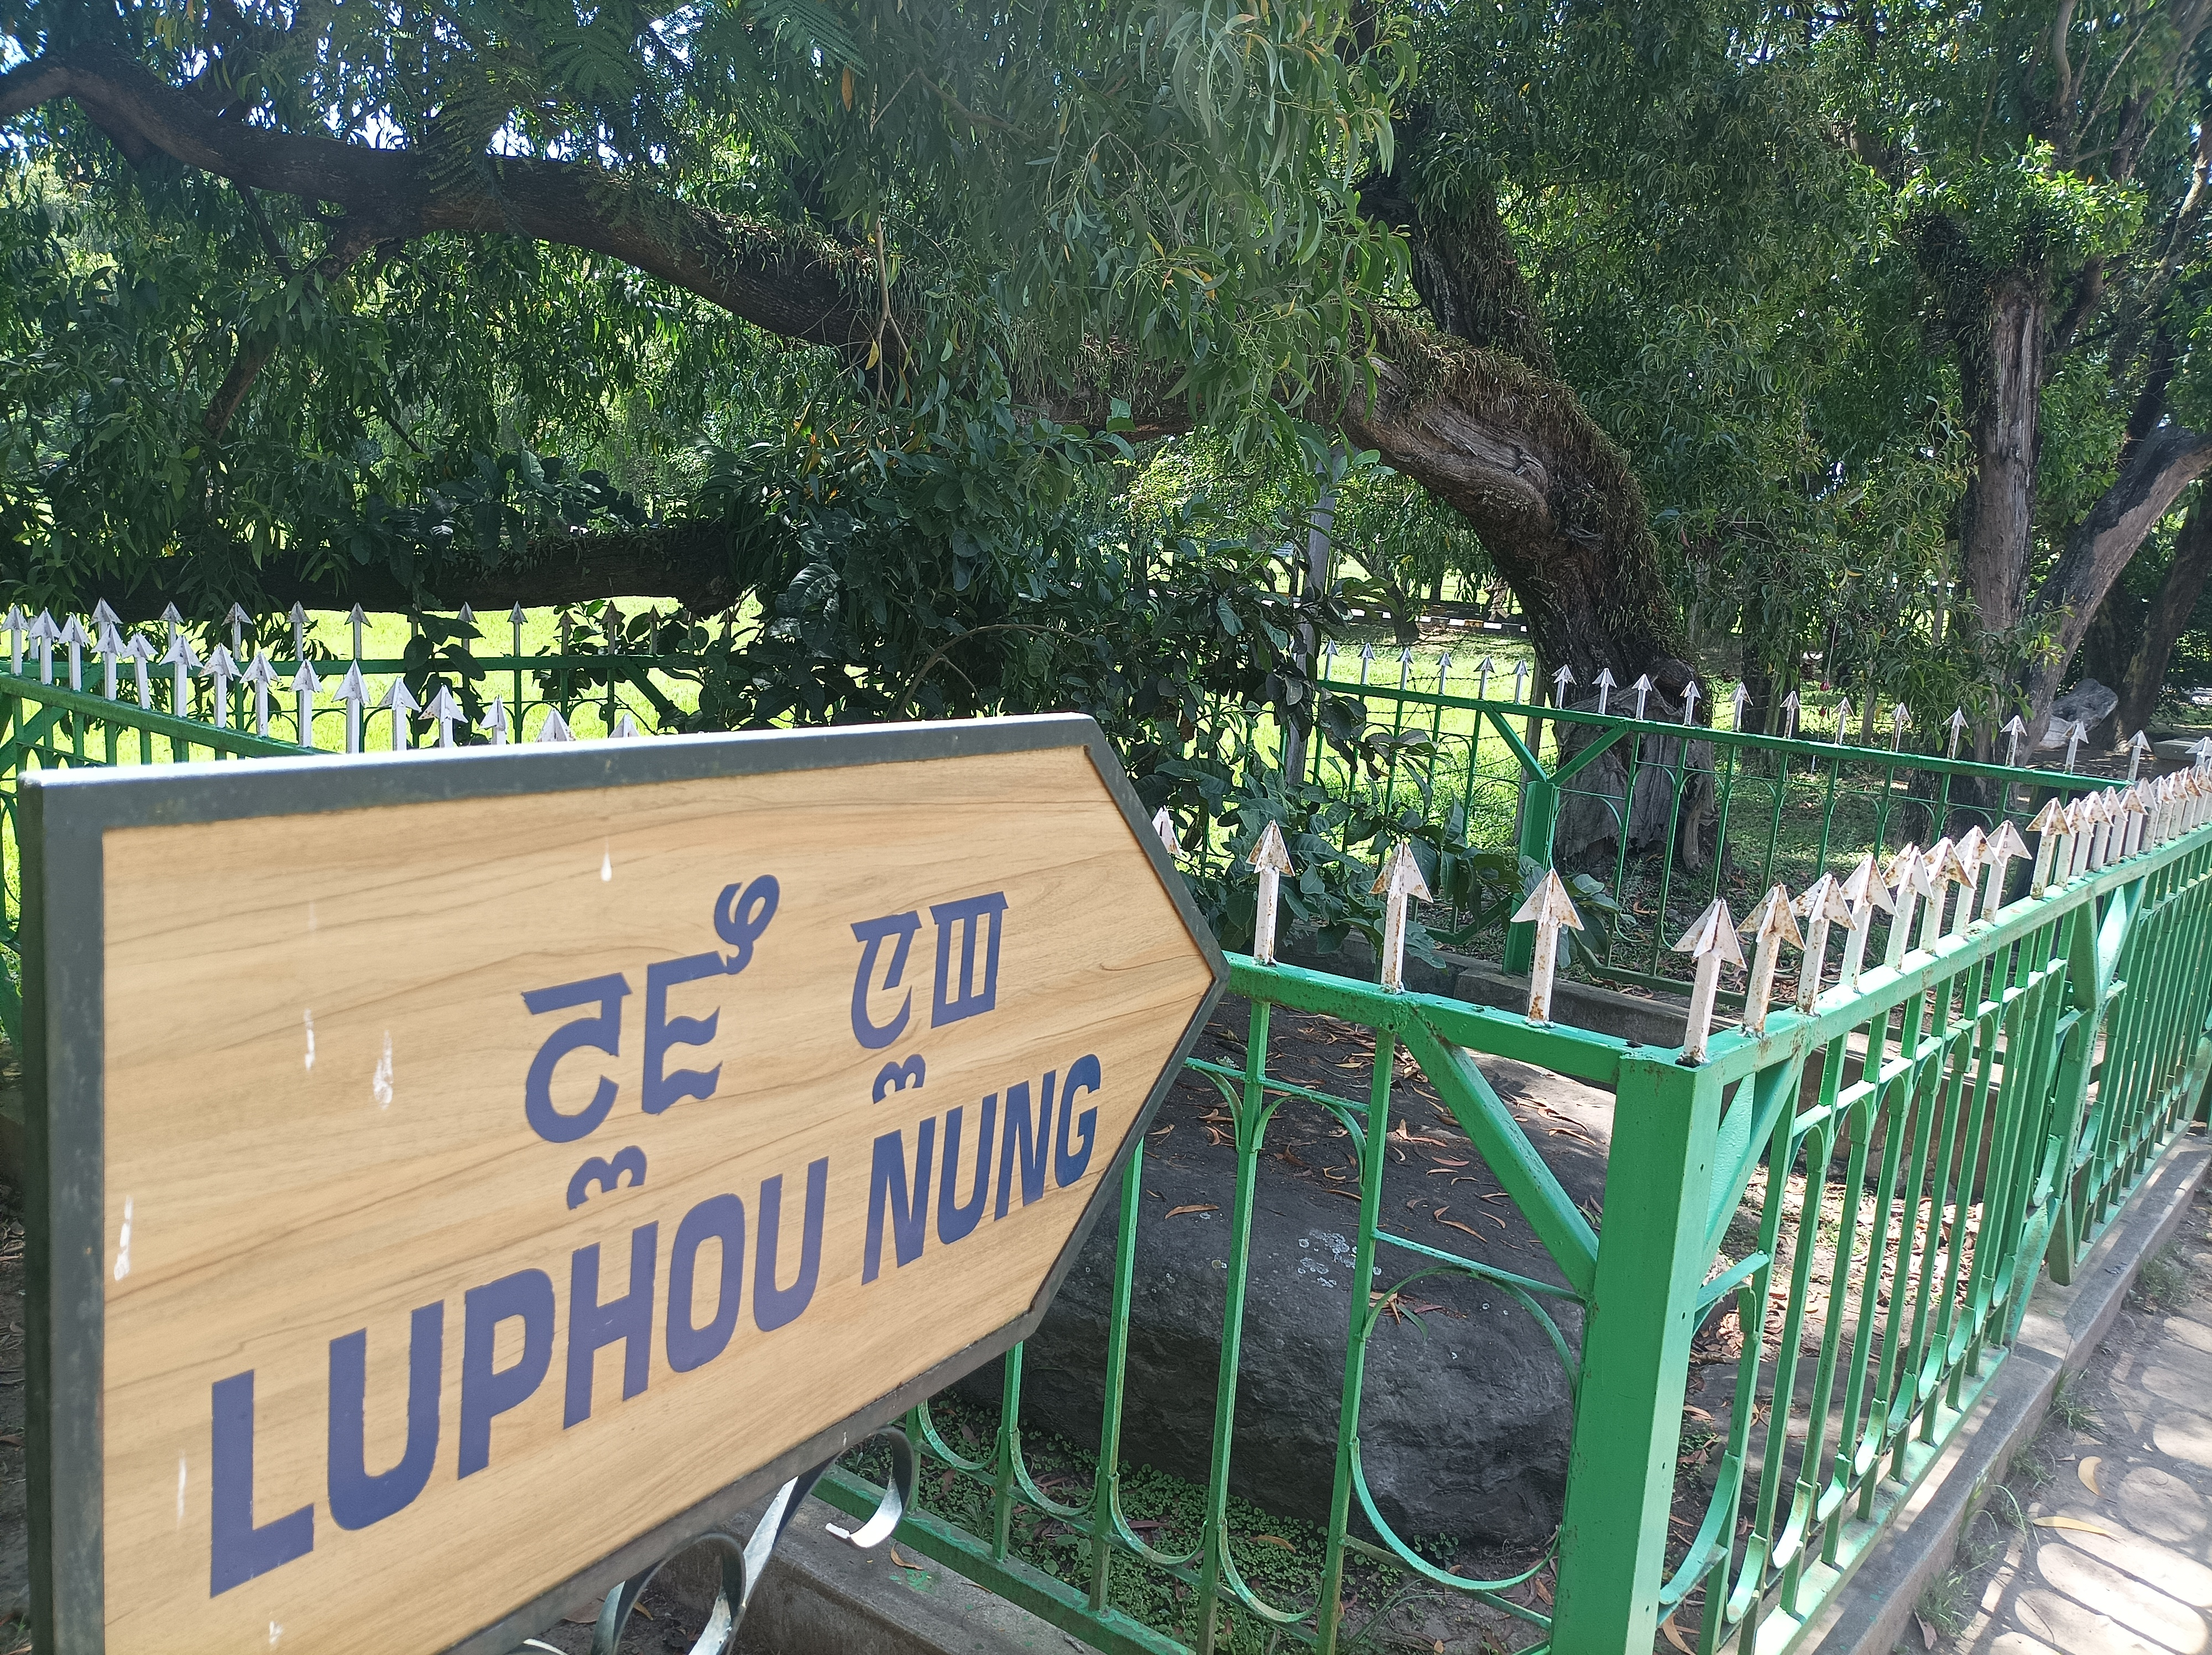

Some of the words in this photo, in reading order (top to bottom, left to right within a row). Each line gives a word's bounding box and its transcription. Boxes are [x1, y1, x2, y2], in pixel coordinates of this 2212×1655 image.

[514, 865, 792, 1217] ꯂꯨꯐꯧ
[839, 880, 1017, 1108] ꯅꯨꯡ
[858, 1045, 1106, 1286] NUNG
[204, 1154, 832, 1605] LUPHOU